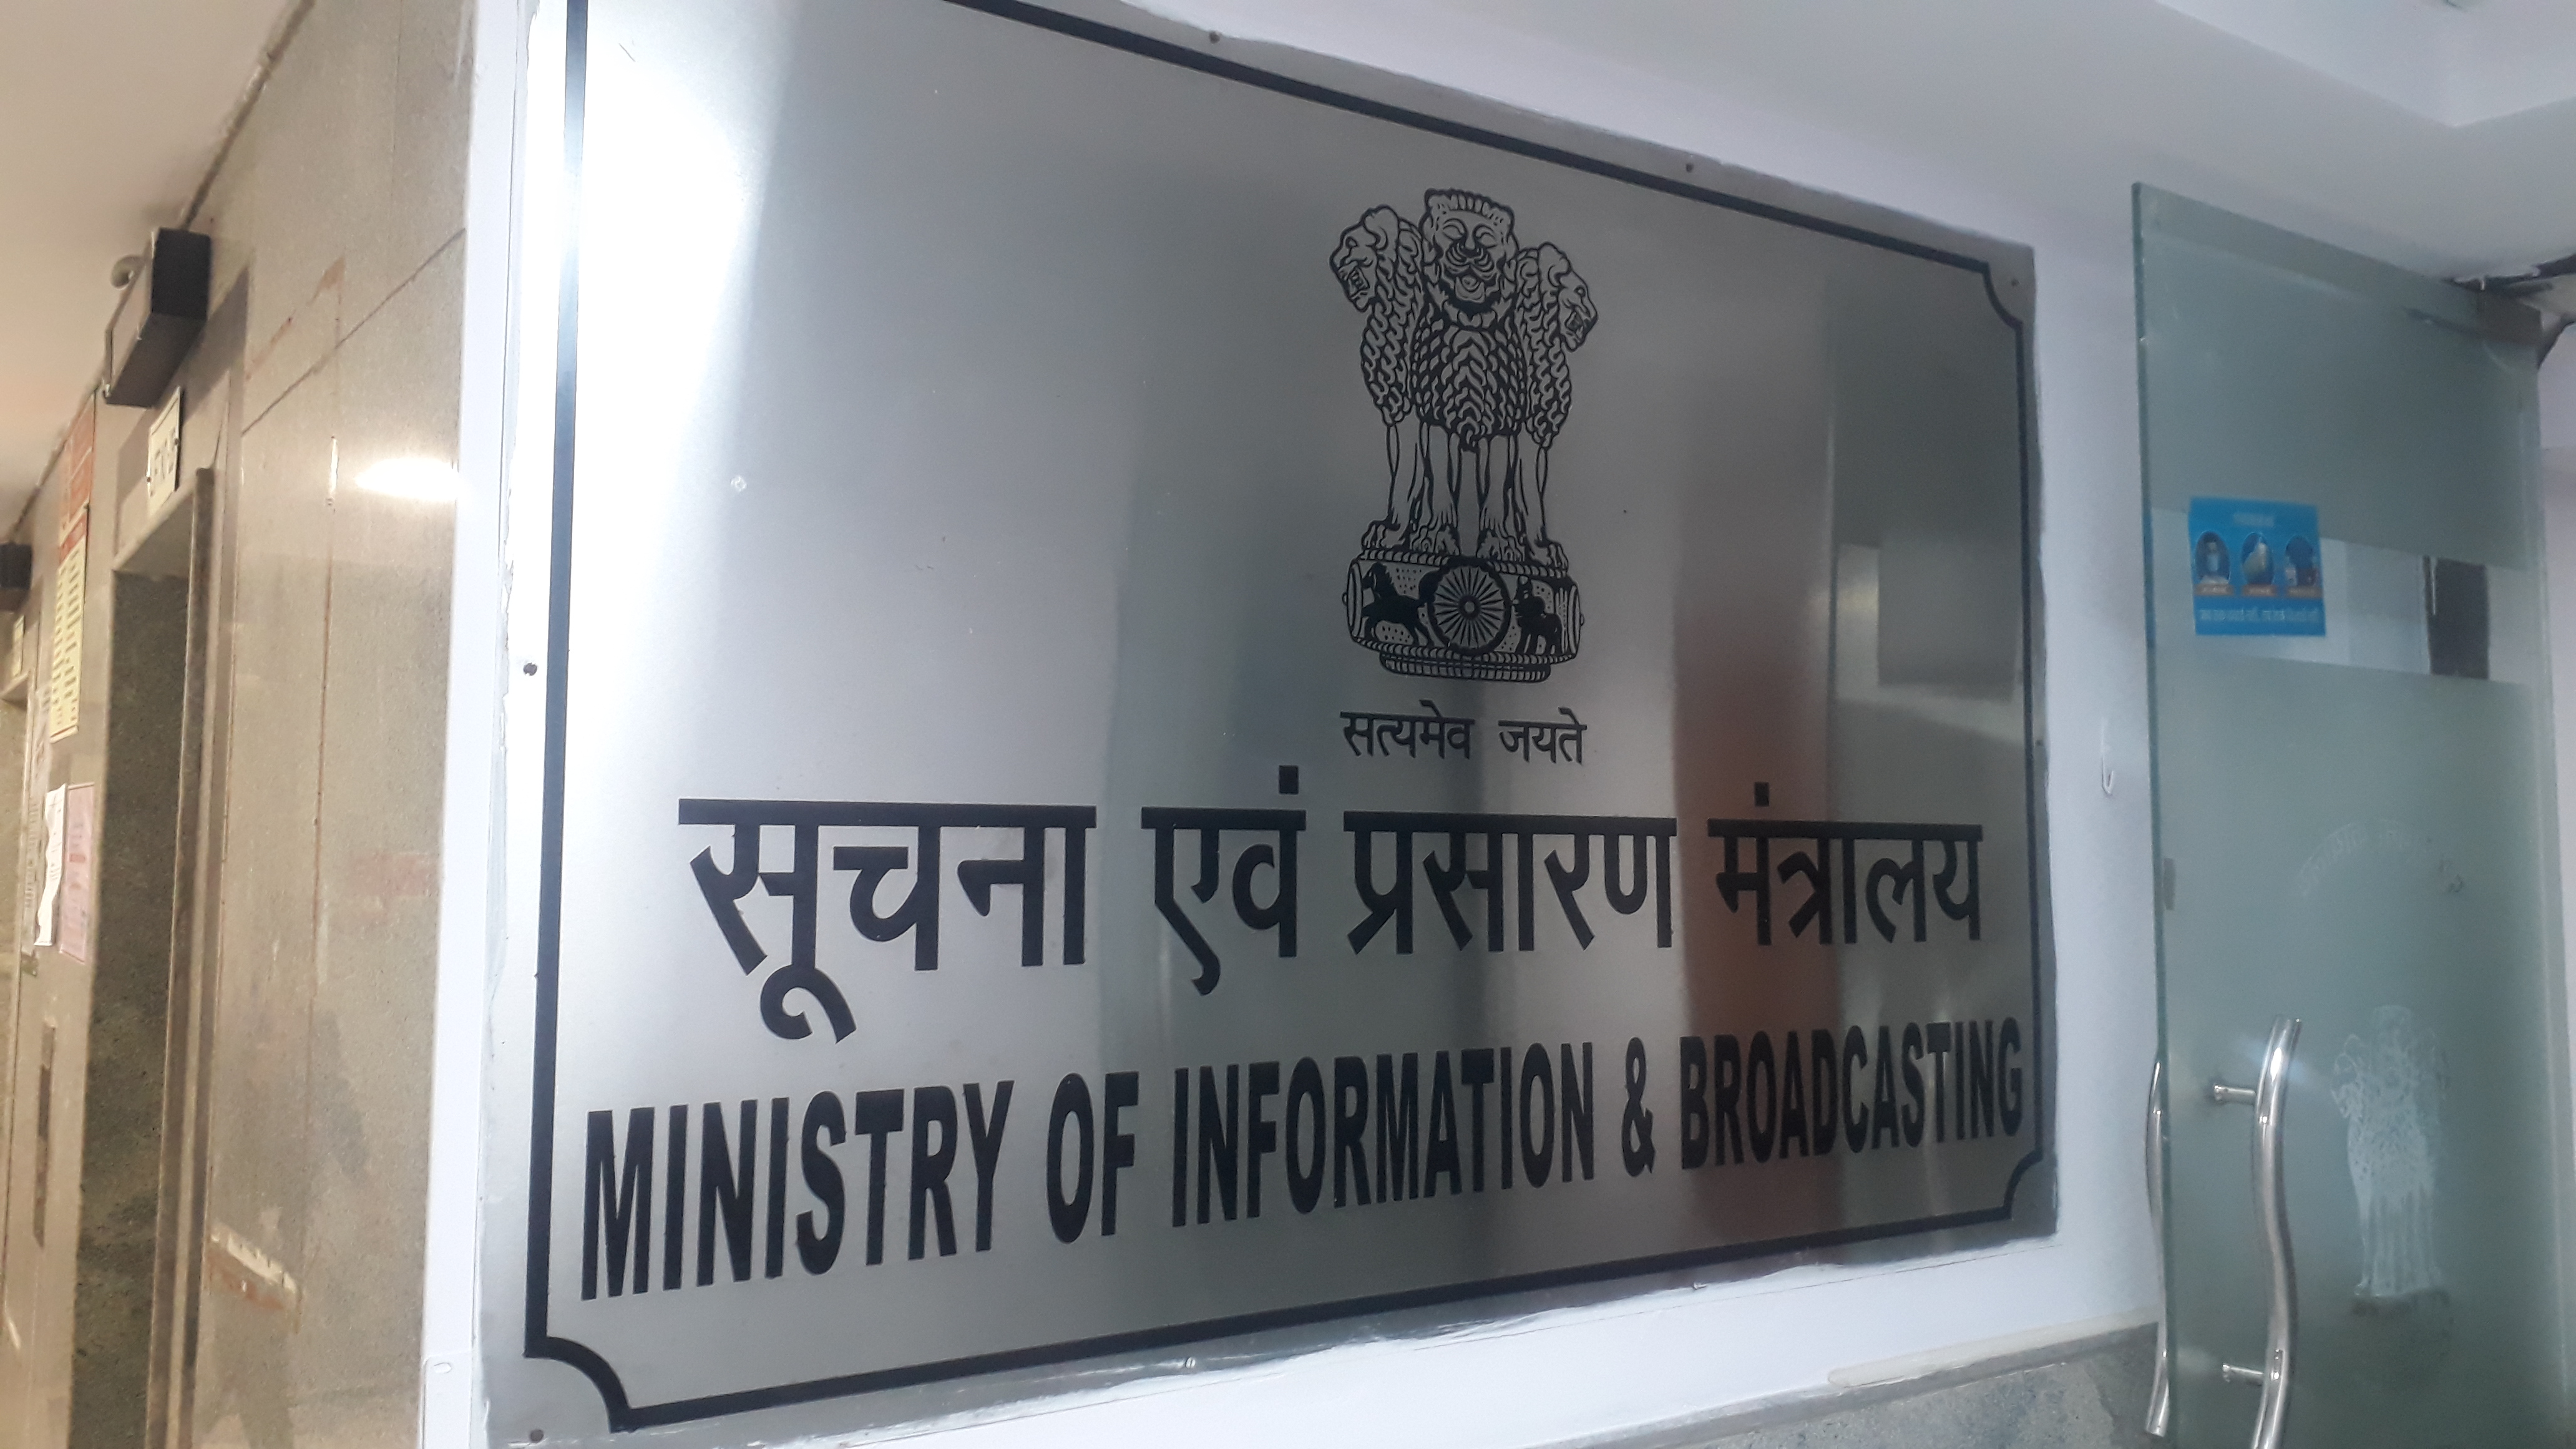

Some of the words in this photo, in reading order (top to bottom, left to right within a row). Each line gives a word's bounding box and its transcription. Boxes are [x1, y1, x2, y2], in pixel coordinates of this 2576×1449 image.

[1335, 690, 1476, 764] सत्यमेव
[1495, 701, 1589, 767] जयते
[679, 795, 1100, 1052] सूचना
[1139, 758, 1309, 1001] एवं
[1345, 804, 1681, 959] प्रसारण
[1707, 775, 1986, 947] मंत्रालय
[577, 1077, 1018, 1302] MINISTRY
[1033, 1055, 1156, 1256] OF
[1169, 1038, 1599, 1231] INFORMATION
[1619, 1029, 1658, 1183] &
[1676, 1014, 2024, 1171] BROADCASTING